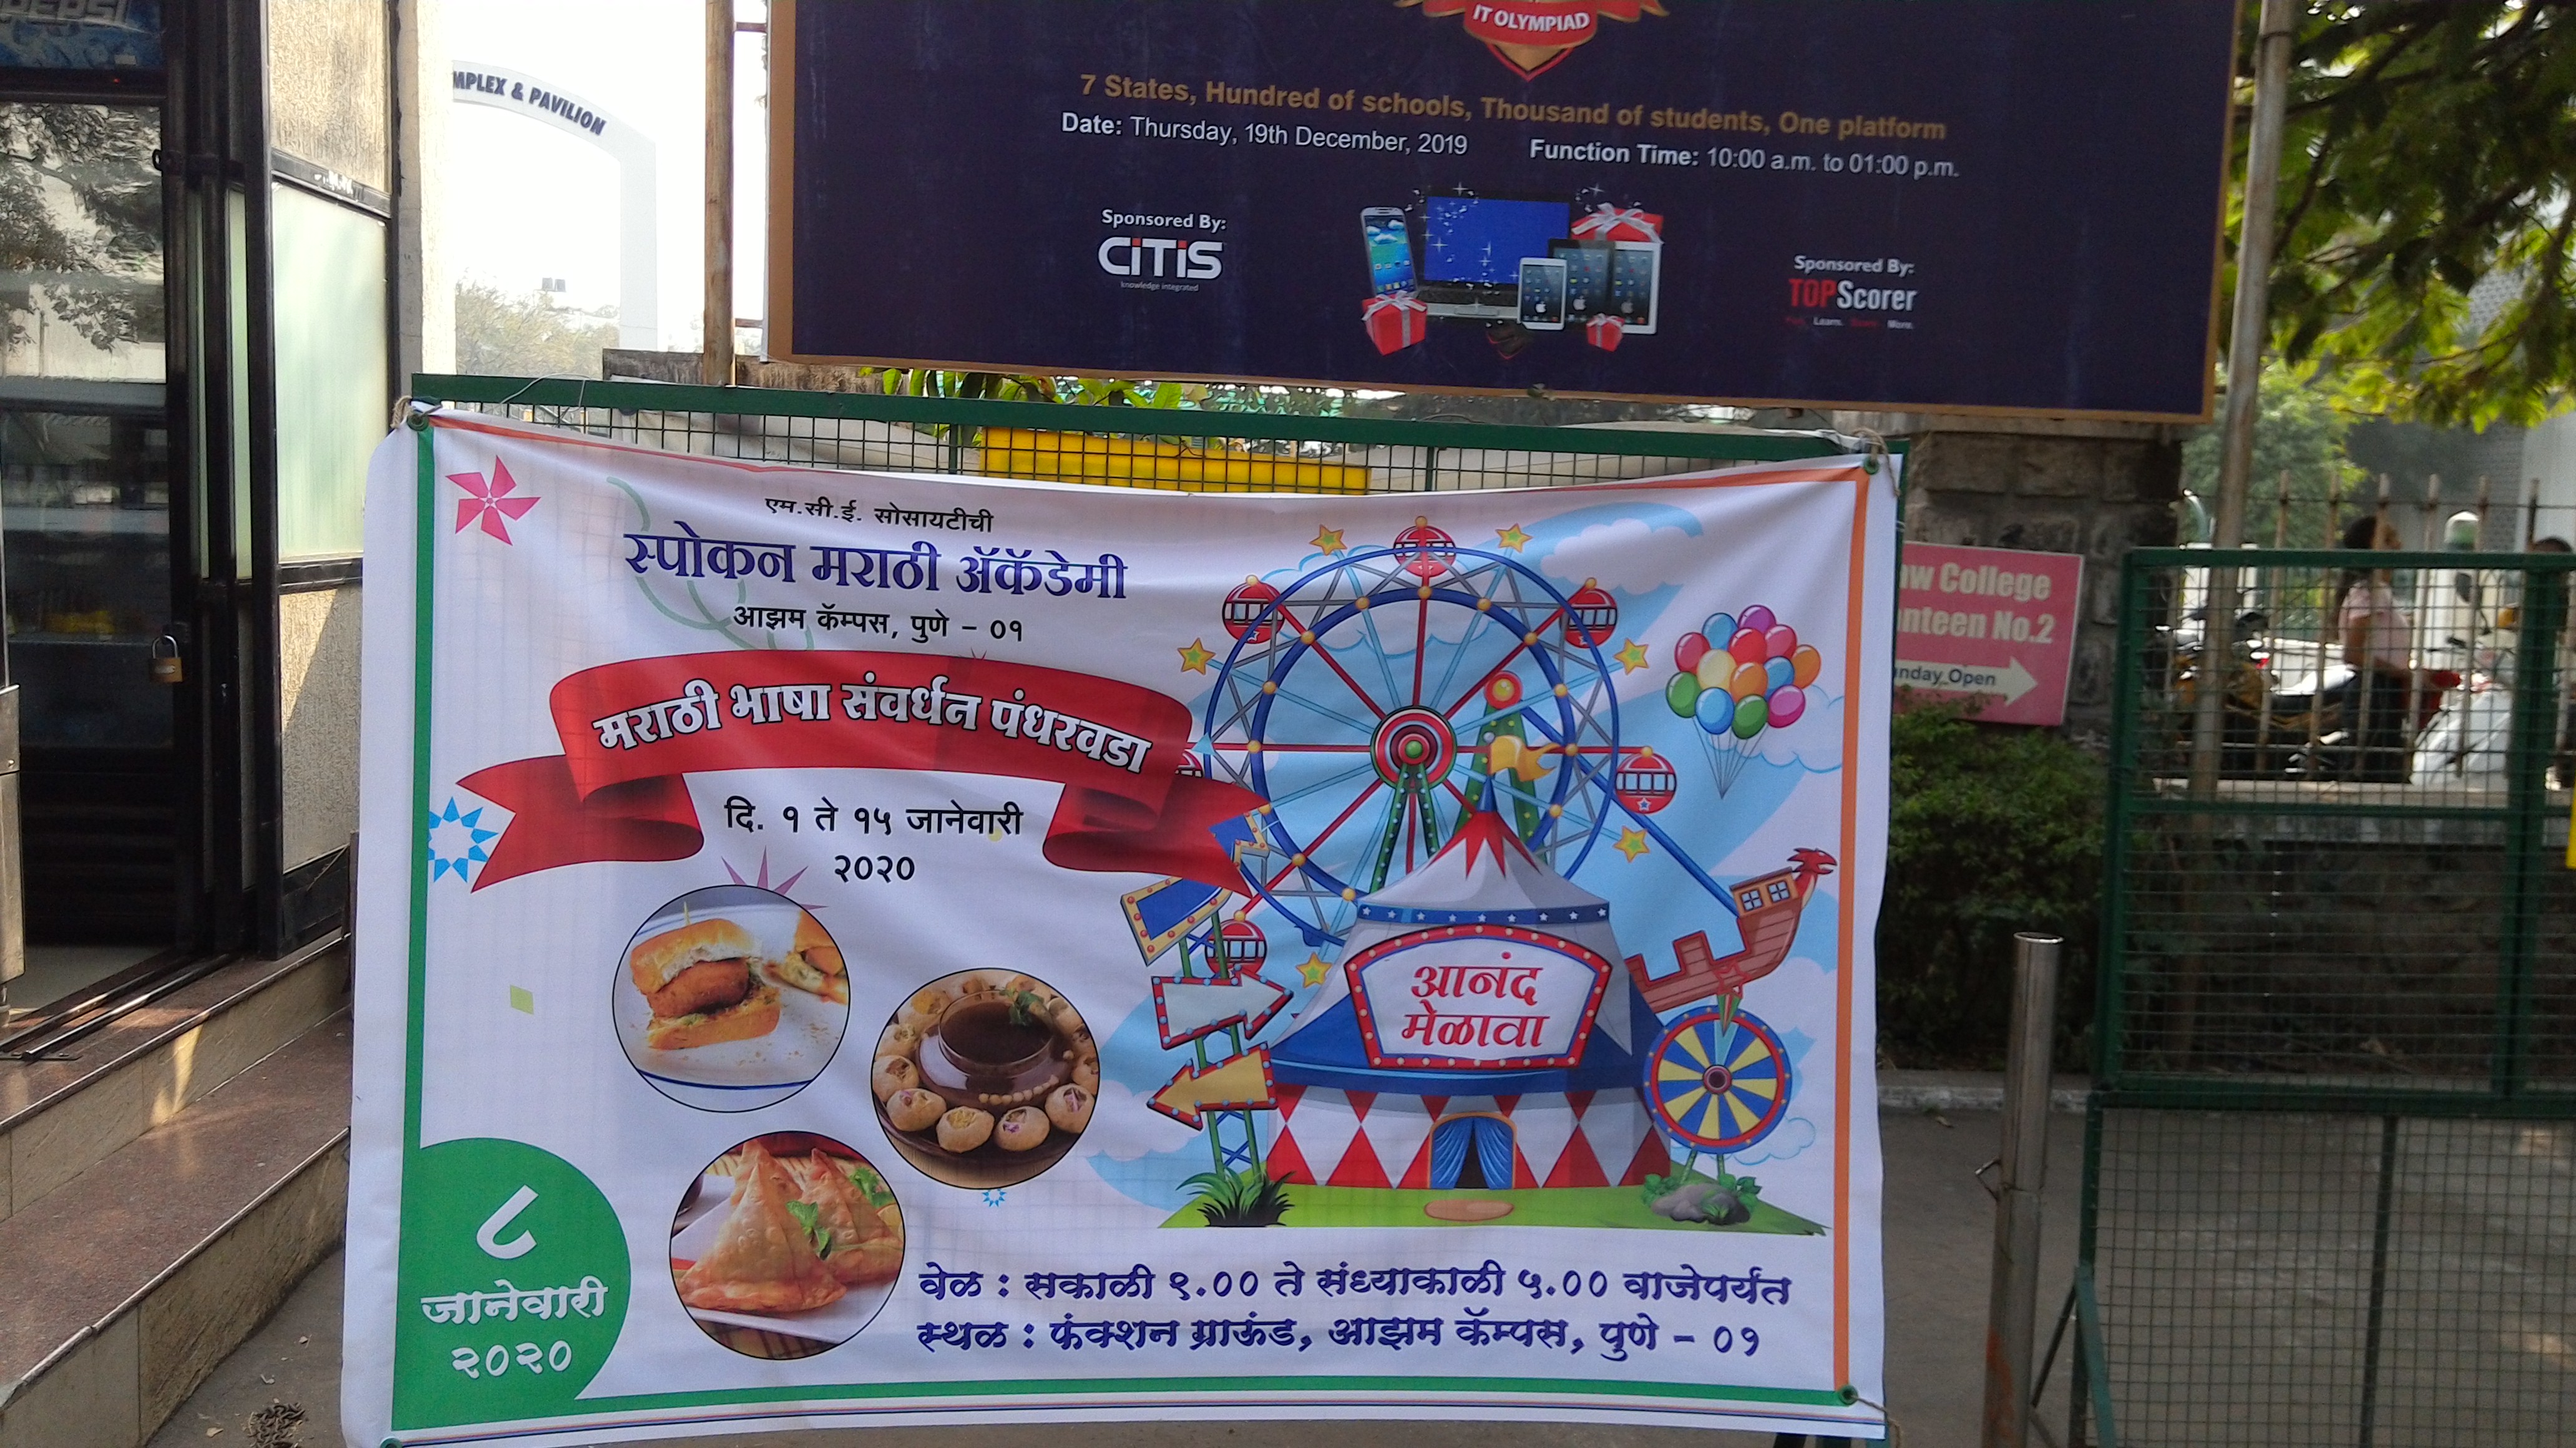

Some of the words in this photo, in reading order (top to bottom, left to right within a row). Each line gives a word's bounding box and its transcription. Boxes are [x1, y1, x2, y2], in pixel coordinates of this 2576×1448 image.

[1468, 2, 1496, 29] IT
[1490, 7, 1595, 37] OLYMPIAD
[452, 68, 509, 98] MPLEX
[509, 77, 529, 104] &
[527, 82, 611, 142] PAVILION
[1074, 68, 1101, 98] 7
[1058, 109, 1126, 138] Date:
[1100, 69, 1200, 108] States,
[1126, 110, 1241, 150] Thursday,
[1201, 74, 1326, 114] Hundred
[1239, 114, 1292, 150] 19th
[1325, 86, 1359, 118] of
[1292, 119, 1415, 158] December,
[1359, 87, 1476, 124] schools,
[1414, 129, 1473, 160] 2019
[1475, 91, 1614, 129] Thousand
[1523, 135, 1633, 165] Function
[1613, 100, 1647, 130] of
[1634, 137, 1702, 170] Time:
[1646, 102, 1774, 137] students,
[1703, 142, 1769, 174] 10:00
[1767, 149, 1820, 173] a.m.
[1775, 107, 1833, 144] One
[1819, 152, 1847, 177] to
[1846, 149, 1912, 182] 01:00
[1836, 112, 1954, 146] platform
[1912, 153, 1964, 183] p.m.
[1096, 206, 1197, 236] Sponsored
[1196, 210, 1229, 236] By:
[1095, 233, 1230, 283] CiTiS
[1791, 252, 1888, 278] Sponsored
[1885, 253, 1918, 283] By:
[1785, 277, 1837, 313] TOP
[1837, 278, 1920, 315] Scorer
[763, 489, 866, 526] एम.सी.ई.
[871, 497, 999, 537] सोसायटीची
[617, 517, 802, 590] स्पोकन
[807, 537, 949, 595] मराठी
[950, 542, 1143, 605] अ‍ॅकॅडेमी
[1935, 558, 2054, 608] College
[729, 601, 813, 633] आझम
[811, 601, 904, 642] कॅम्पस,
[905, 605, 979, 648] पुणे-
[982, 614, 1031, 651] 0१
[1988, 606, 2061, 651] No.2
[1946, 666, 1999, 692] Open
[584, 674, 728, 756] मराठी
[726, 677, 836, 731] भाषा
[837, 663, 984, 736] संवर्धन
[985, 684, 1156, 777] पंधरवडा
[716, 787, 766, 838] दि.
[777, 801, 804, 840] १
[807, 791, 844, 837] ते
[851, 800, 899, 840] १५
[898, 796, 1028, 841] जानेवारी
[831, 850, 917, 885] २०२०
[1406, 946, 1546, 1009] आनंद
[1393, 997, 1565, 1056] मेळावा
[467, 1178, 547, 1265] ८
[411, 1266, 615, 1329] जानेवारी
[914, 1256, 1014, 1306] वेळ:
[1020, 1258, 1162, 1306] सकाळी
[1164, 1263, 1267, 1302] ९.००
[1268, 1251, 1310, 1304] ते
[1311, 1253, 1511, 1304] संध्याकाळी
[1512, 1263, 1608, 1304] ५.००
[1618, 1255, 1797, 1311] वाजेपर्यंत
[442, 1334, 573, 1381] २०२०
[910, 1316, 1040, 1356] स्थळ :
[1043, 1305, 1184, 1356] फंक्शन
[1181, 1311, 1317, 1356] ग्राऊंड,
[1322, 1313, 1449, 1354] आझम
[1451, 1302, 1590, 1362] कॅम्पस,
[1594, 1311, 1699, 1366] पुणे-
[1702, 1322, 1767, 1361] ०१